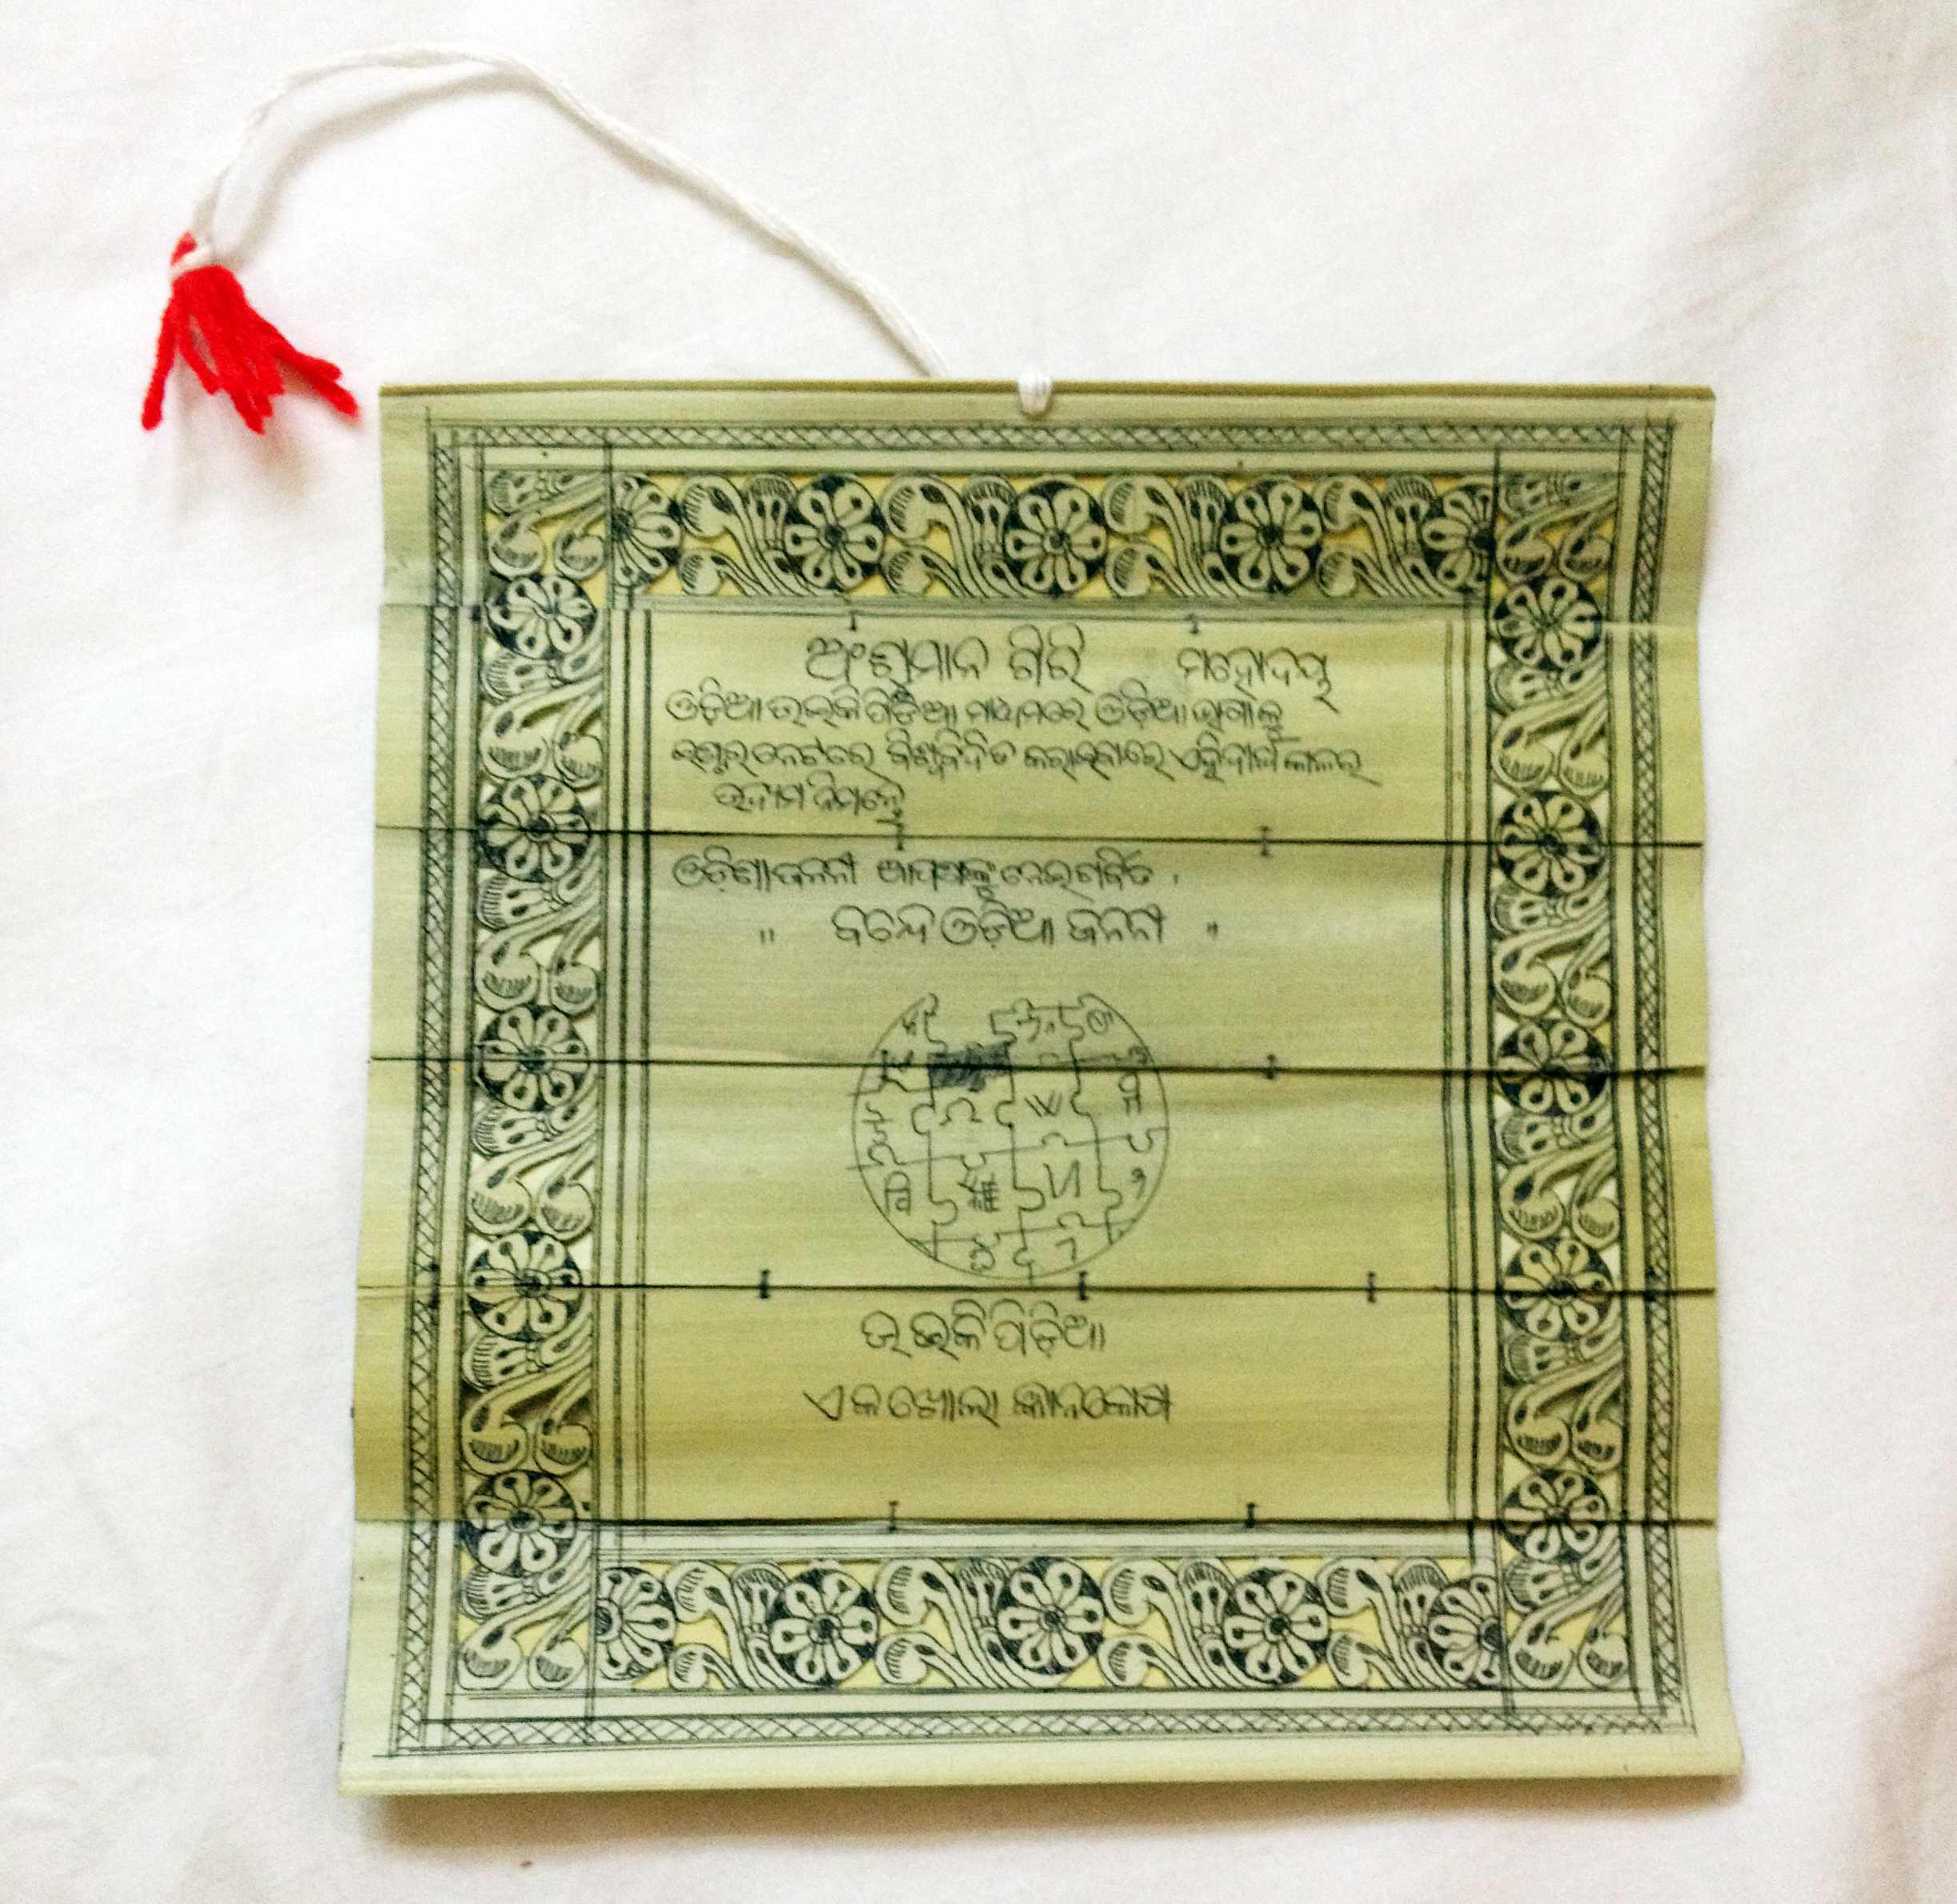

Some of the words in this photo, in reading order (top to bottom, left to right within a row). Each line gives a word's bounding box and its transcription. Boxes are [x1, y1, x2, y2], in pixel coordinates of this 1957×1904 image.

[996, 615, 1098, 693] ଗିରି
[657, 667, 967, 735] ଓଡ଼ିଆଉଇକିପିଡ଼ିଆ
[855, 1289, 1110, 1363] ଉଇକିପିଡ଼ିଆ
[803, 1376, 1007, 1429] ଏକ ଖୋଲା